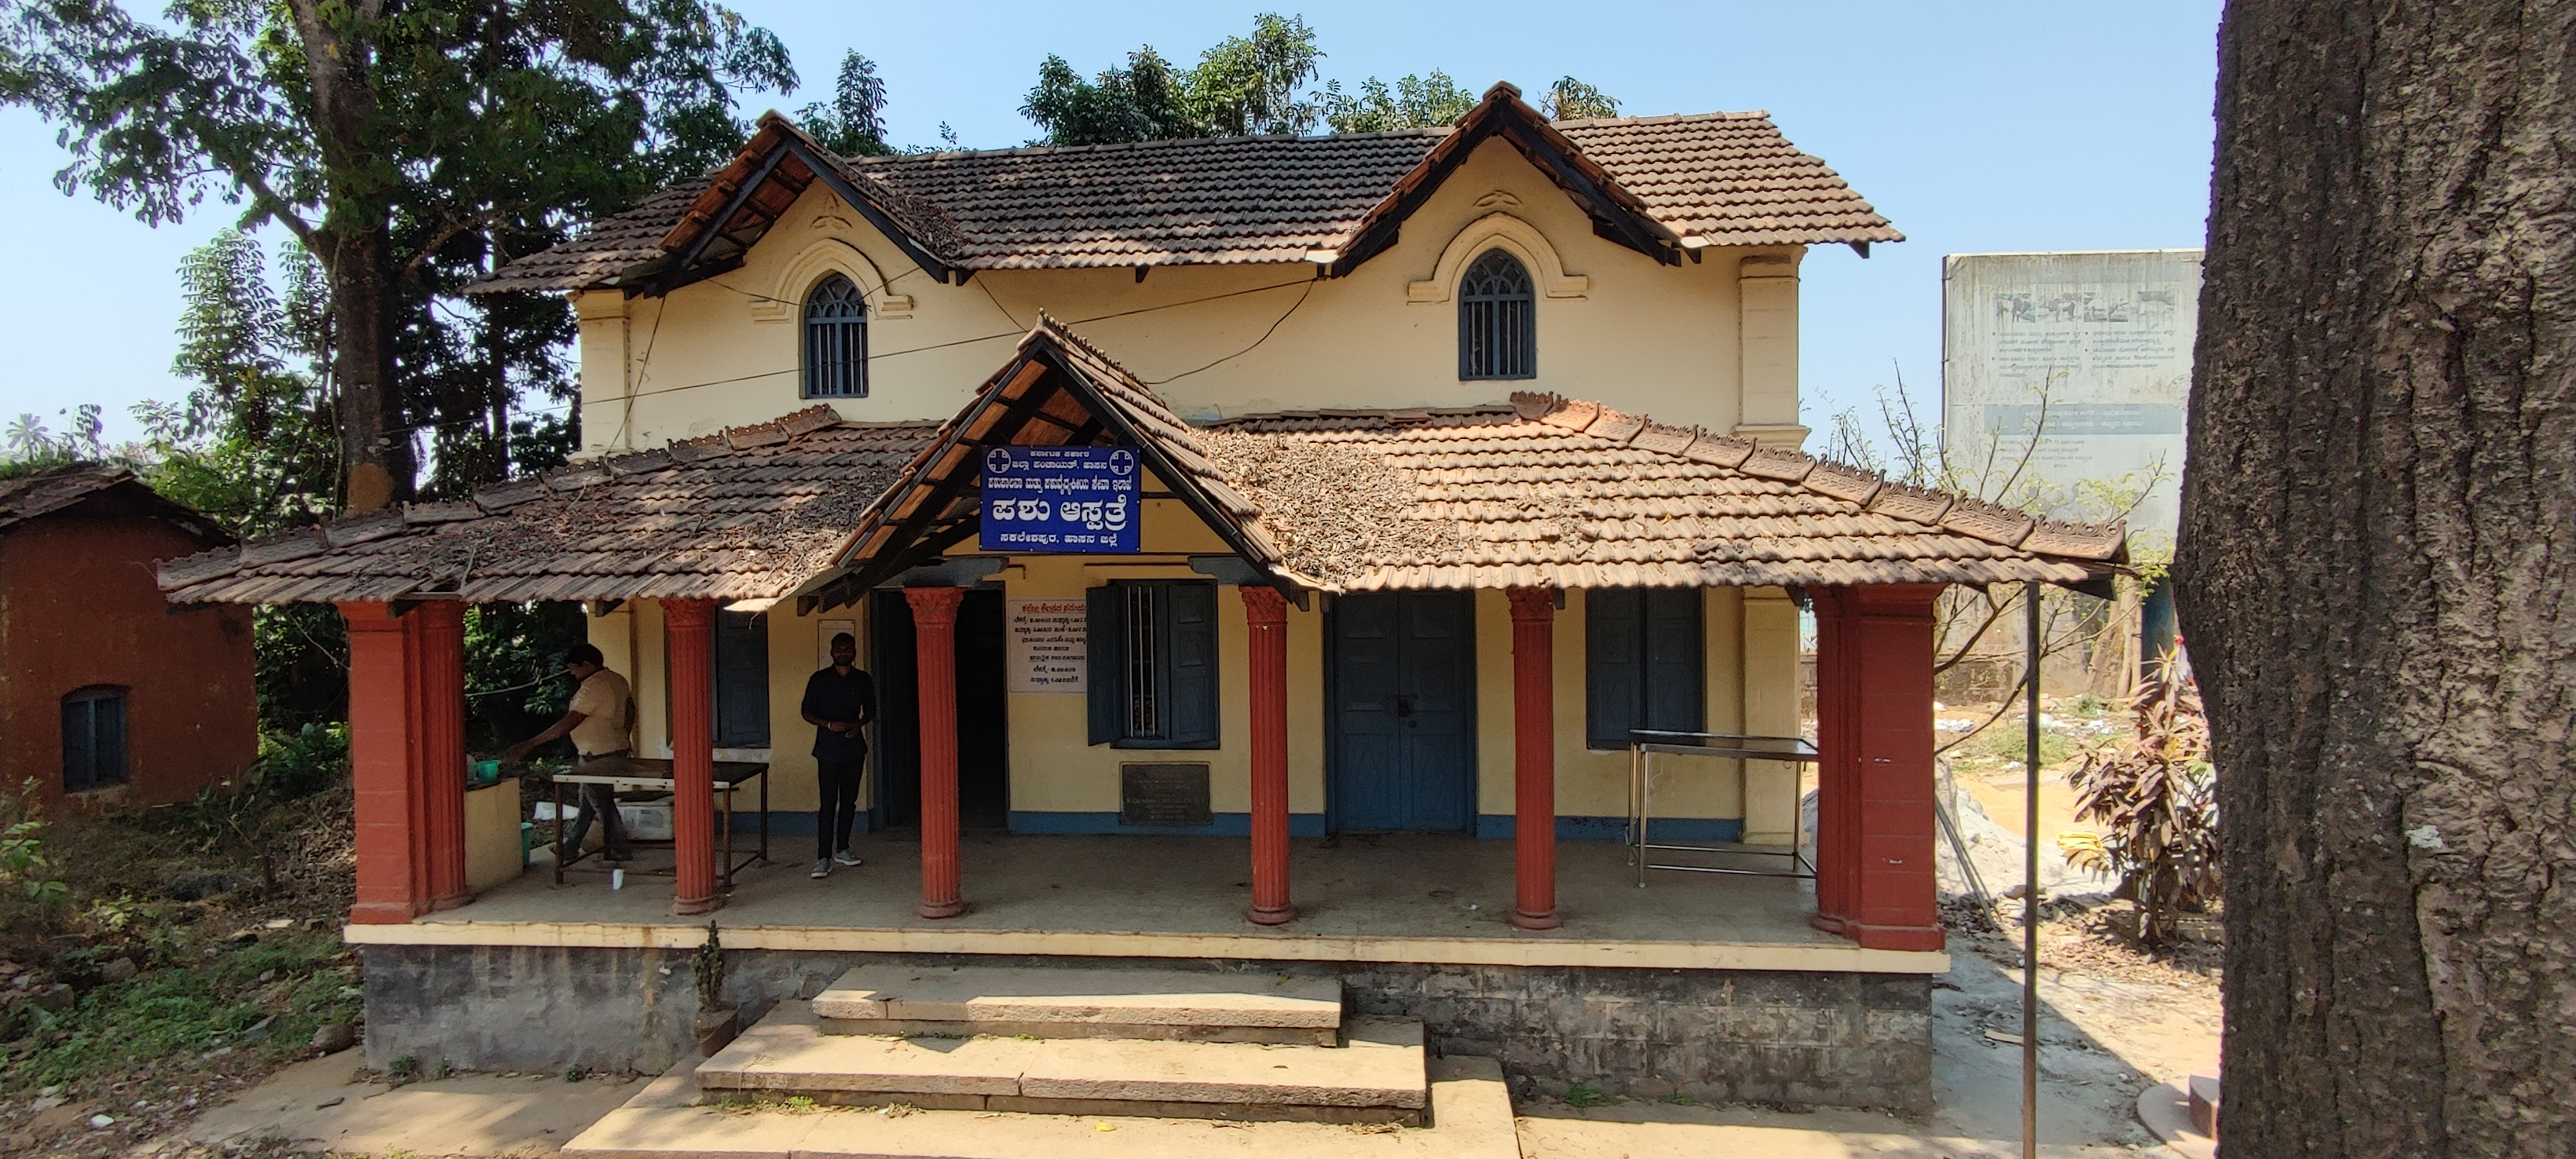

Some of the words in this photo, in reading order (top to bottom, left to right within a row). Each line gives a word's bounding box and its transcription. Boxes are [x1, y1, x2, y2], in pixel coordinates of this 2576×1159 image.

[1007, 452, 1034, 476] ಜಿಲ್ಲಾ
[1029, 456, 1081, 472] ಪಂಚಾಯತ್
[1058, 448, 1096, 461] ಸರ್ಕಾರ
[1081, 458, 1111, 473] ಹಾಸನ
[986, 472, 1026, 492] ಪಠುಪಾಲನಾ
[1019, 474, 1047, 494] ಮತ್ತು
[1041, 470, 1093, 499] ಪಠುವೈದ್ಯಕೀಯ
[1087, 470, 1115, 496] ಸೇವಾ
[1108, 472, 1136, 496] ಇಲಾಖೆ
[990, 492, 1055, 528] ಪಶು
[1058, 488, 1130, 533] ಆಸ್ಪತ್ರ
[997, 528, 1062, 550] ಸಕಲೇಶಪುರ
[1063, 532, 1098, 547] ಹಾಸನ
[1095, 526, 1122, 551] ಜಲ್ಲಿ
[1036, 598, 1067, 615] ಕೆಲಸದೆ
[1050, 623, 1067, 637] AV